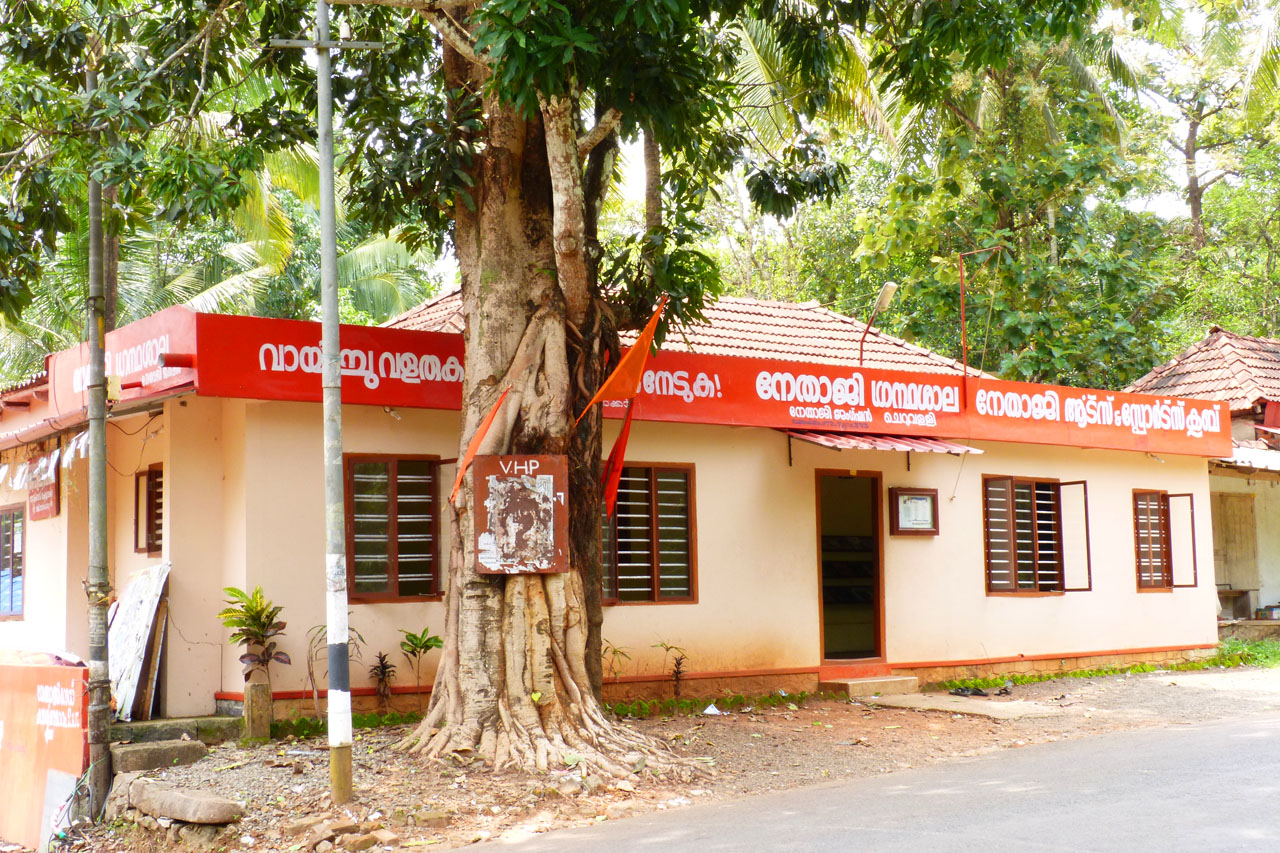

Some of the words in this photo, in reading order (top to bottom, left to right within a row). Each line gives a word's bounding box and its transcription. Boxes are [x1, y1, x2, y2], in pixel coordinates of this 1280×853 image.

[256, 337, 471, 393] വായ ചുവളതക
[638, 363, 727, 407] നേടുക!
[782, 402, 835, 423] നേതാജി
[753, 365, 869, 411] നേതാജി
[882, 408, 943, 431] ചെറുവളളി
[869, 375, 963, 417] ഗ്രന്ഥശാല
[973, 383, 1064, 425] നേതാജി
[498, 457, 539, 476] VHP